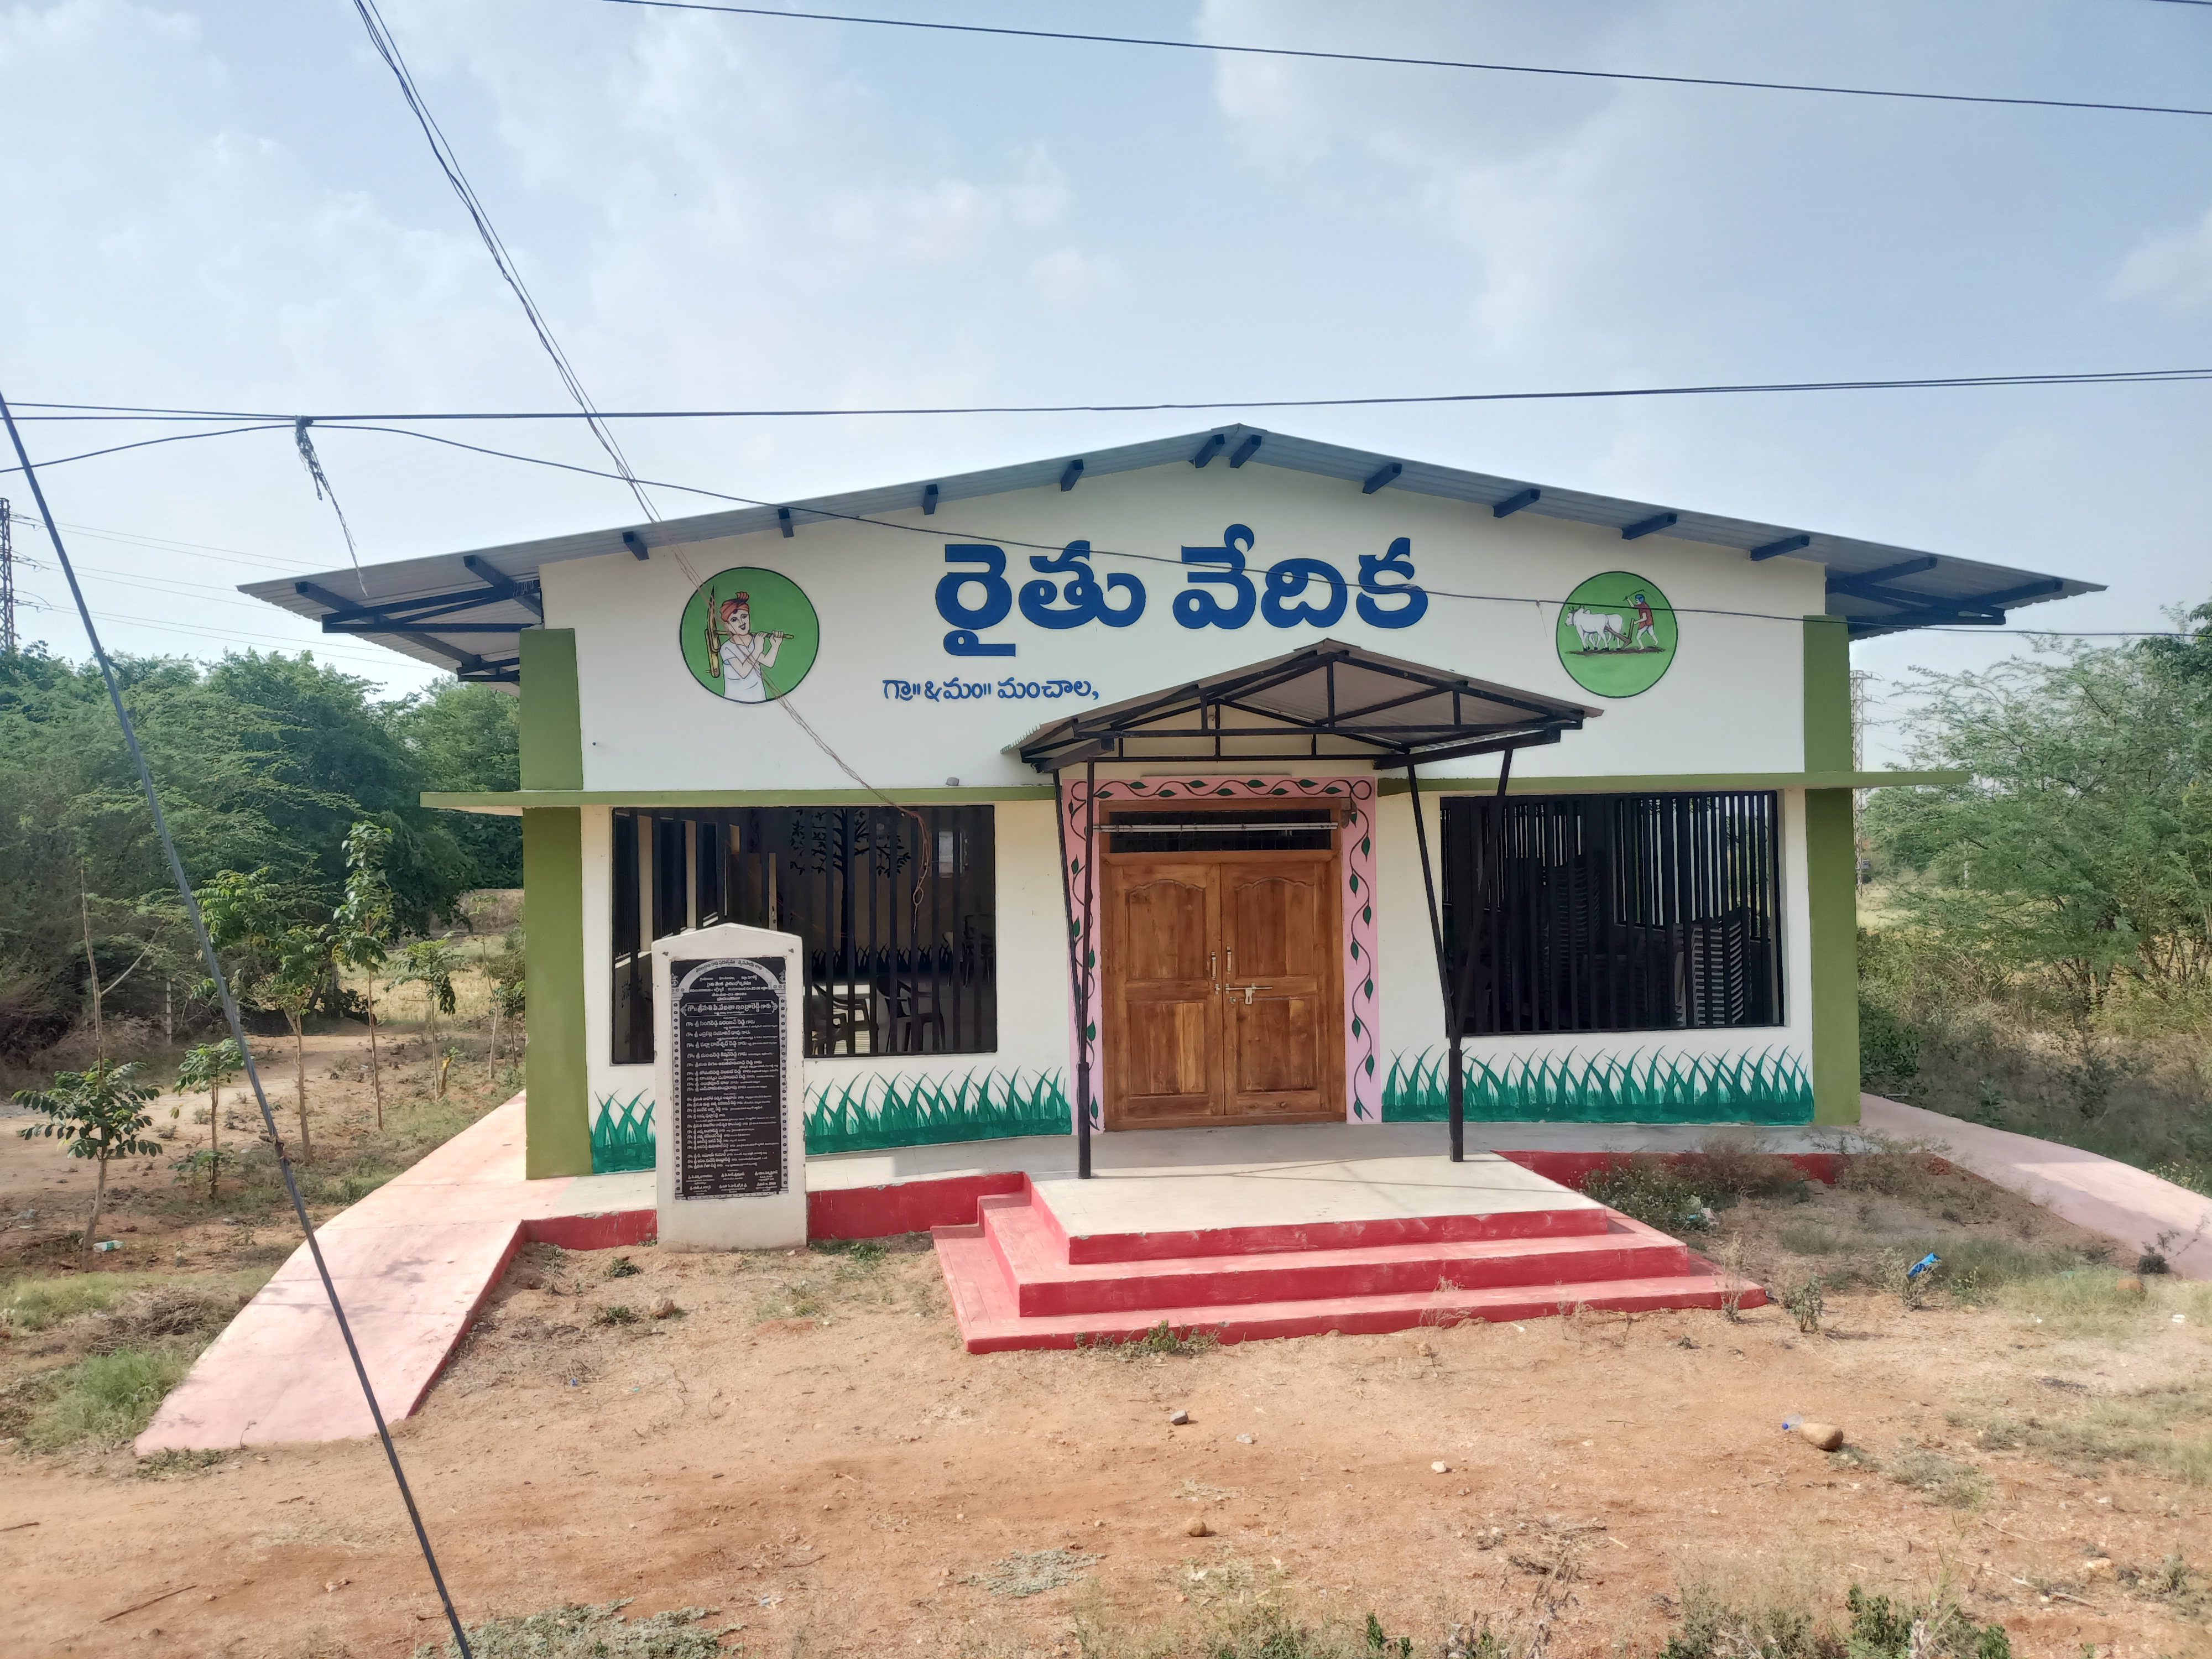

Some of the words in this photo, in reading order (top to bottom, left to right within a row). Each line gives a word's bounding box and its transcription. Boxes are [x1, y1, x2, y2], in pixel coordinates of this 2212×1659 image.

[1168, 517, 1432, 631] వేదిక
[933, 537, 1150, 661] రైతు
[879, 674, 992, 705] గ్రా॥ &మం॥
[995, 672, 1102, 703] మంచాల
[679, 1000, 714, 1016] గౌ|| శ్రీమతి
[716, 1017, 748, 1030] నిరంజన్ రెడ్డి
[697, 1050, 723, 1061] మంచరెడ్డి
[718, 1067, 744, 1078] వెంకట్ రెడ్డి